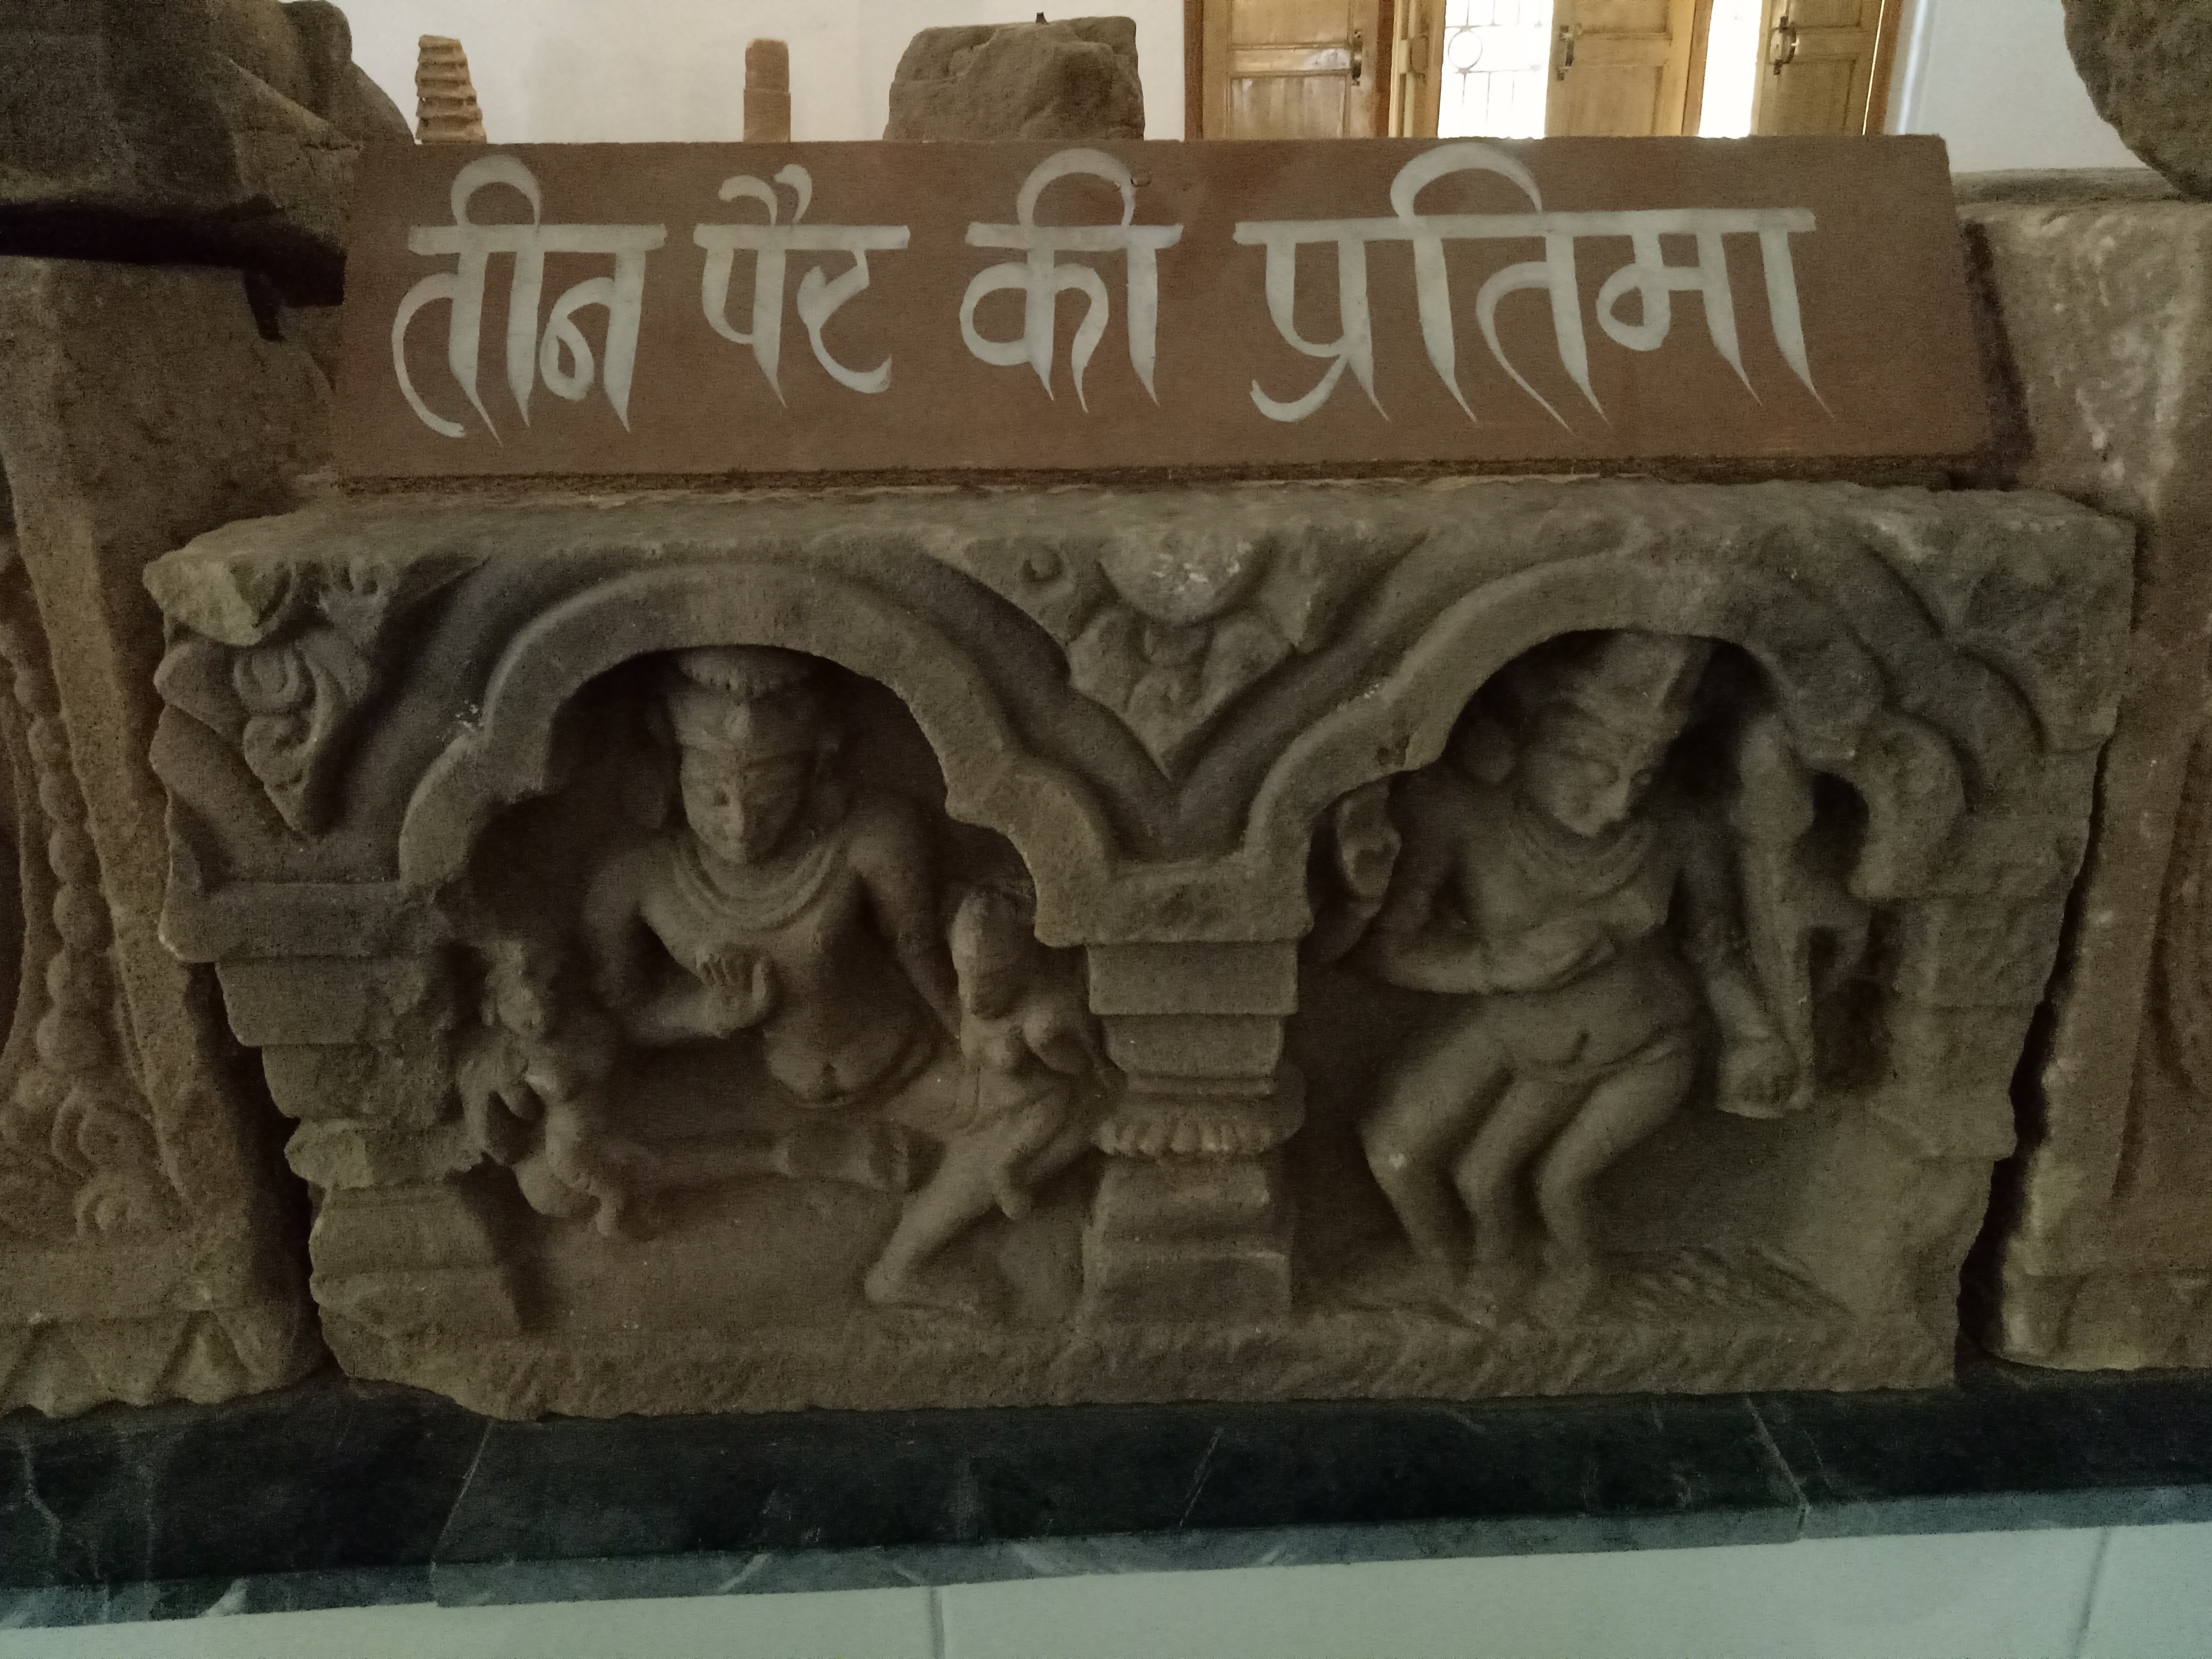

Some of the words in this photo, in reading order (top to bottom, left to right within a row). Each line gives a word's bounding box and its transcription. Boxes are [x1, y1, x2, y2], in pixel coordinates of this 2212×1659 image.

[385, 152, 669, 449] तीन
[694, 162, 911, 411] पैर
[953, 145, 1186, 414] क‍ी
[1236, 137, 1833, 433] प्रतिमा